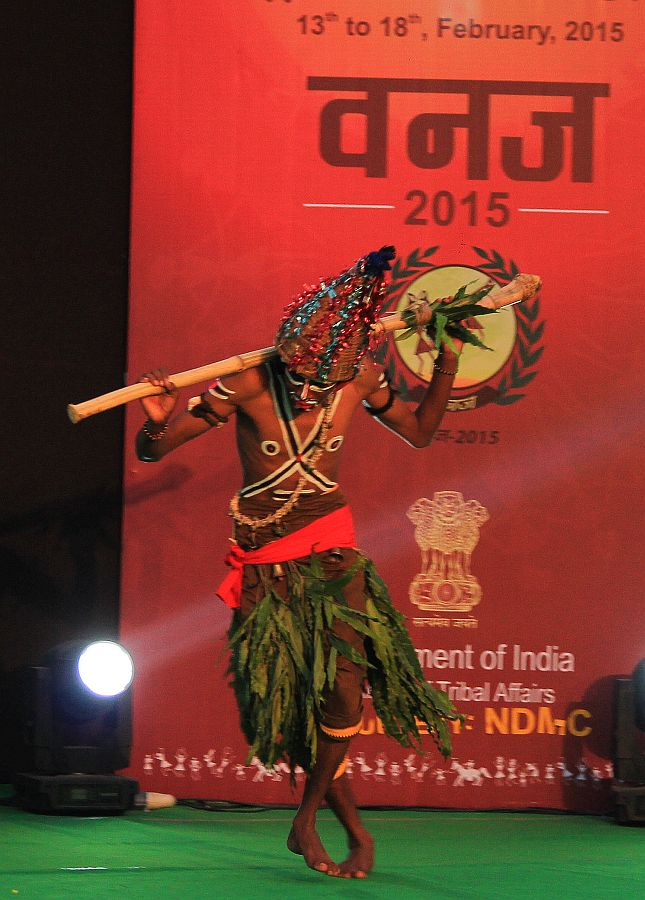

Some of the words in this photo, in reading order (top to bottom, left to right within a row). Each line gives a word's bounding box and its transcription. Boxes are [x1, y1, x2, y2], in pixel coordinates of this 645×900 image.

[290, 6, 345, 43] 13th
[340, 12, 378, 41] to
[375, 2, 427, 49] 18th
[432, 13, 554, 53] February
[555, 15, 631, 49] 2015
[307, 69, 619, 187] वनज
[394, 182, 520, 233] 2015
[455, 421, 506, 452] 2015
[407, 610, 454, 635] सत्यमेव
[447, 611, 484, 634] जयते
[476, 640, 511, 673] of
[510, 642, 578, 675] India
[435, 675, 495, 706] ribal
[489, 675, 559, 709] Affairs
[479, 703, 595, 745] NDMC